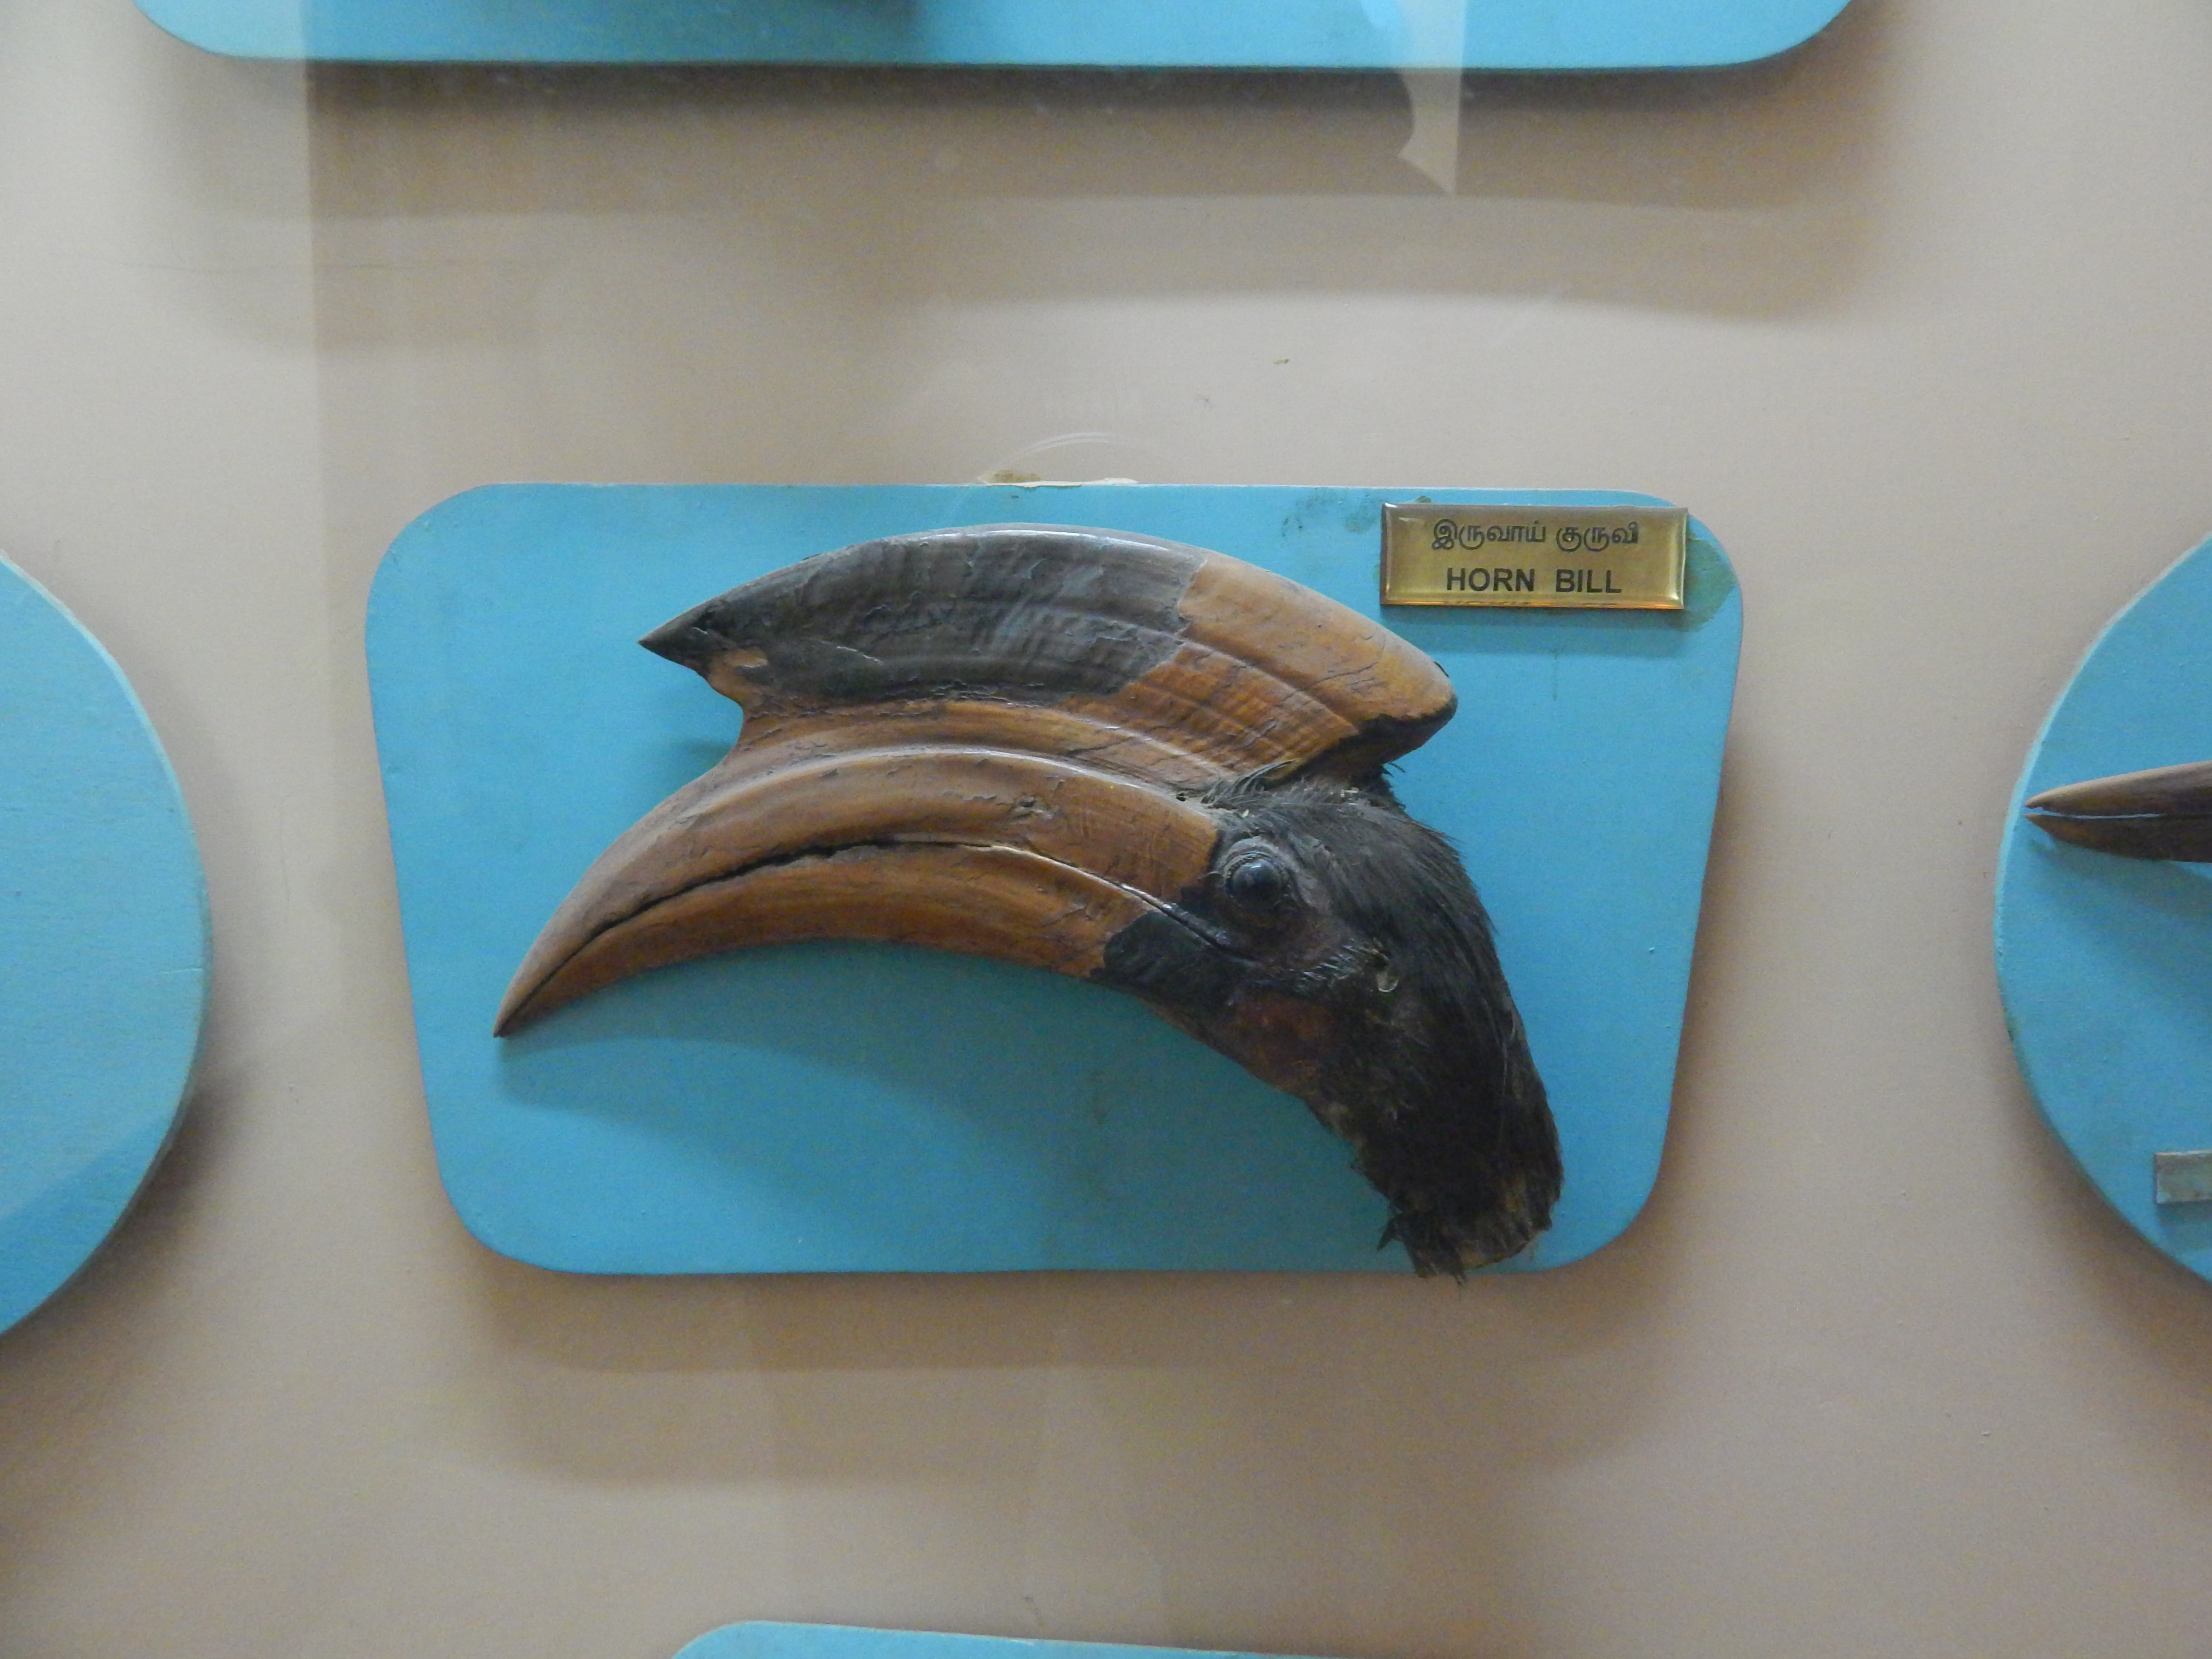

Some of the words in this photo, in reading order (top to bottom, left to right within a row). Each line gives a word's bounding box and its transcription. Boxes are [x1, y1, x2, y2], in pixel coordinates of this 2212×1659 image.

[1427, 515, 1551, 557] இ௫வாய்
[1547, 516, 1641, 558] கு௫வி
[1441, 562, 1537, 593] HORN
[1551, 565, 1623, 597] BILL